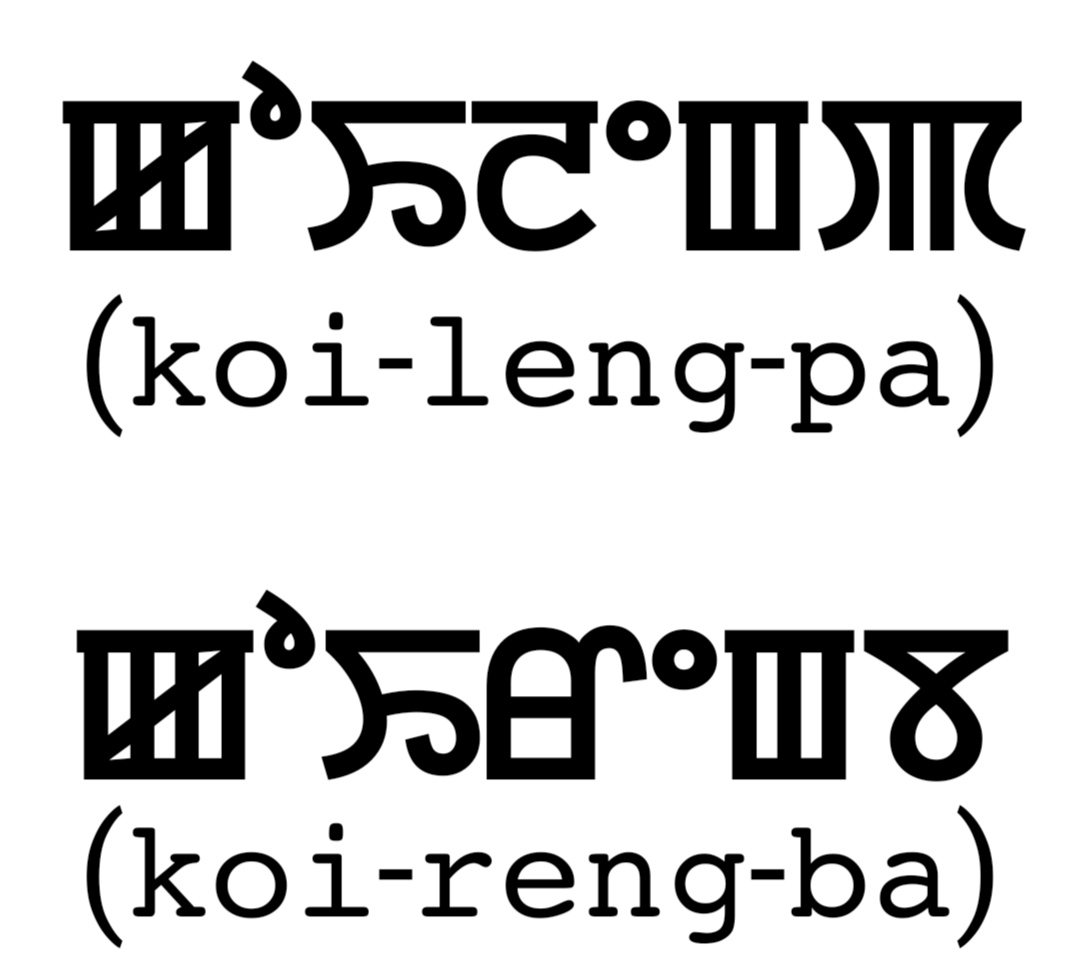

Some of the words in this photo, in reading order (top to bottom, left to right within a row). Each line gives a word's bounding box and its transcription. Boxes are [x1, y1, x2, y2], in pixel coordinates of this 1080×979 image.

[47, 47, 1035, 265] ꯀꯣꯢꯂꯦꯡꯄ
[79, 298, 384, 420] (koi
[417, 313, 960, 447] leng-pa
[68, 582, 1018, 793] ꯀꯣꯢꯔꯦꯡꯕ
[73, 802, 373, 942] (koi
[410, 834, 749, 940] reng
[776, 814, 1005, 956] ba)